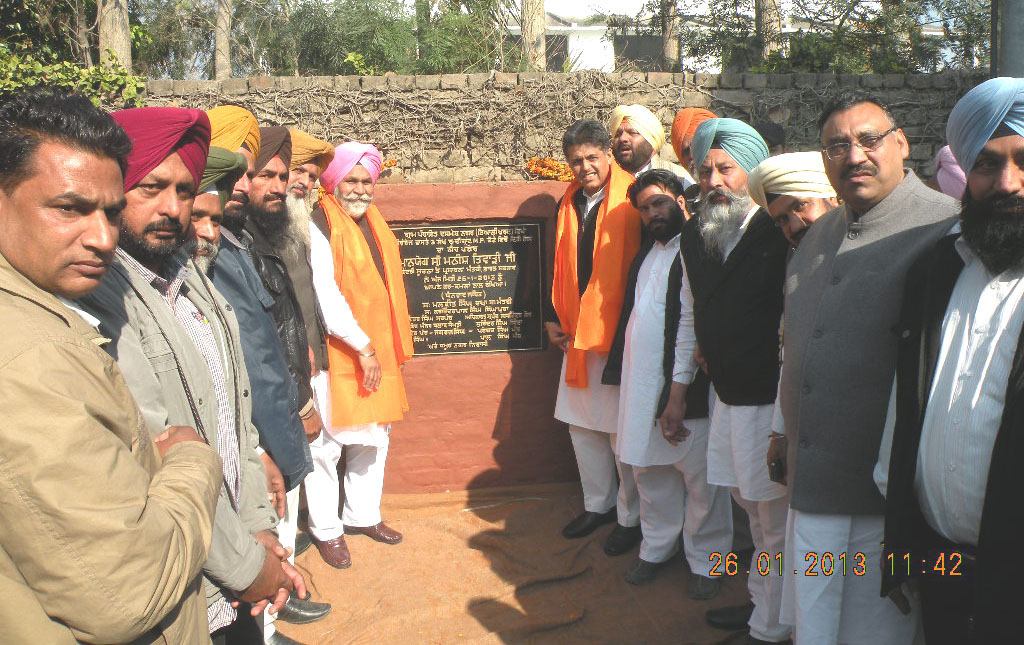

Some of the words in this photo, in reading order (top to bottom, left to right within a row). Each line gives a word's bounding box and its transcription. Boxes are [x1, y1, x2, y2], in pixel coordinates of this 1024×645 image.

[704, 547, 743, 579] 26
[752, 547, 789, 579] 01
[801, 547, 868, 579] 2013
[880, 549, 917, 578] 11
[929, 545, 968, 581] 42